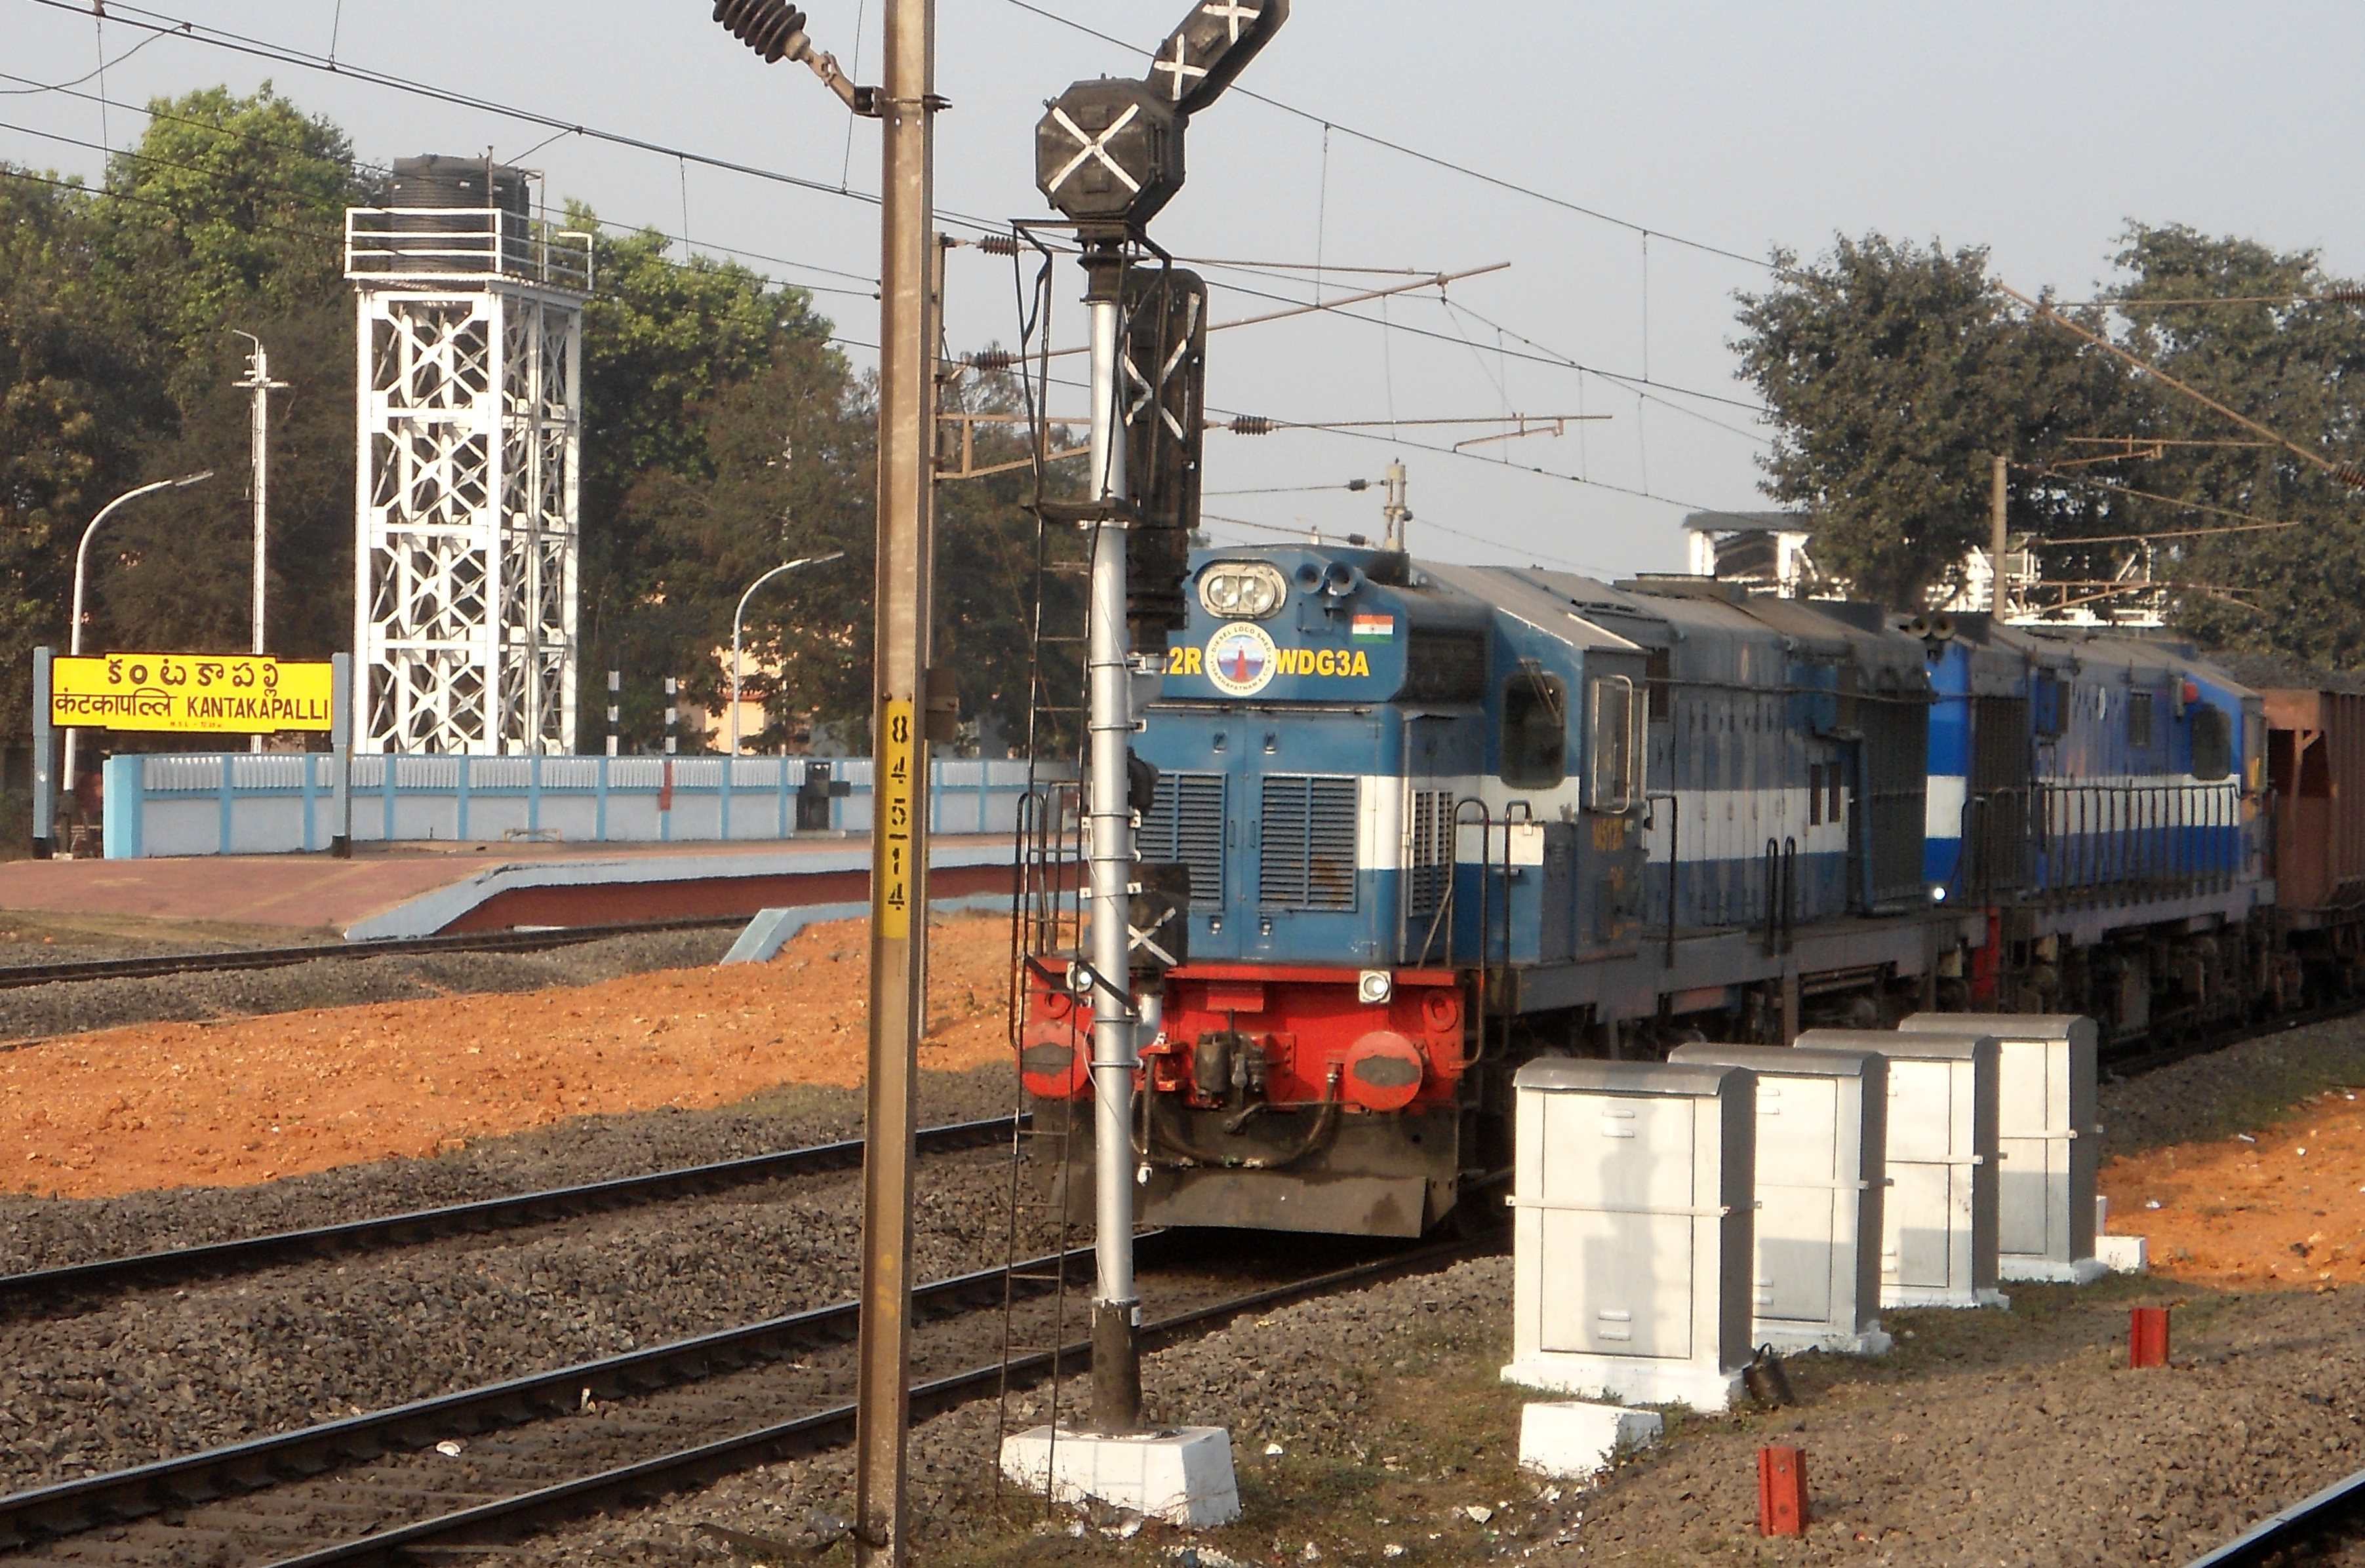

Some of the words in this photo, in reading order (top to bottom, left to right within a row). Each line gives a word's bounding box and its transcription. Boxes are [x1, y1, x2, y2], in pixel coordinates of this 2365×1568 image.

[102, 655, 284, 699] కంటకాపల్లి
[50, 683, 178, 719] कंटकापल्लि
[185, 694, 332, 721] KANTAKAPALLI